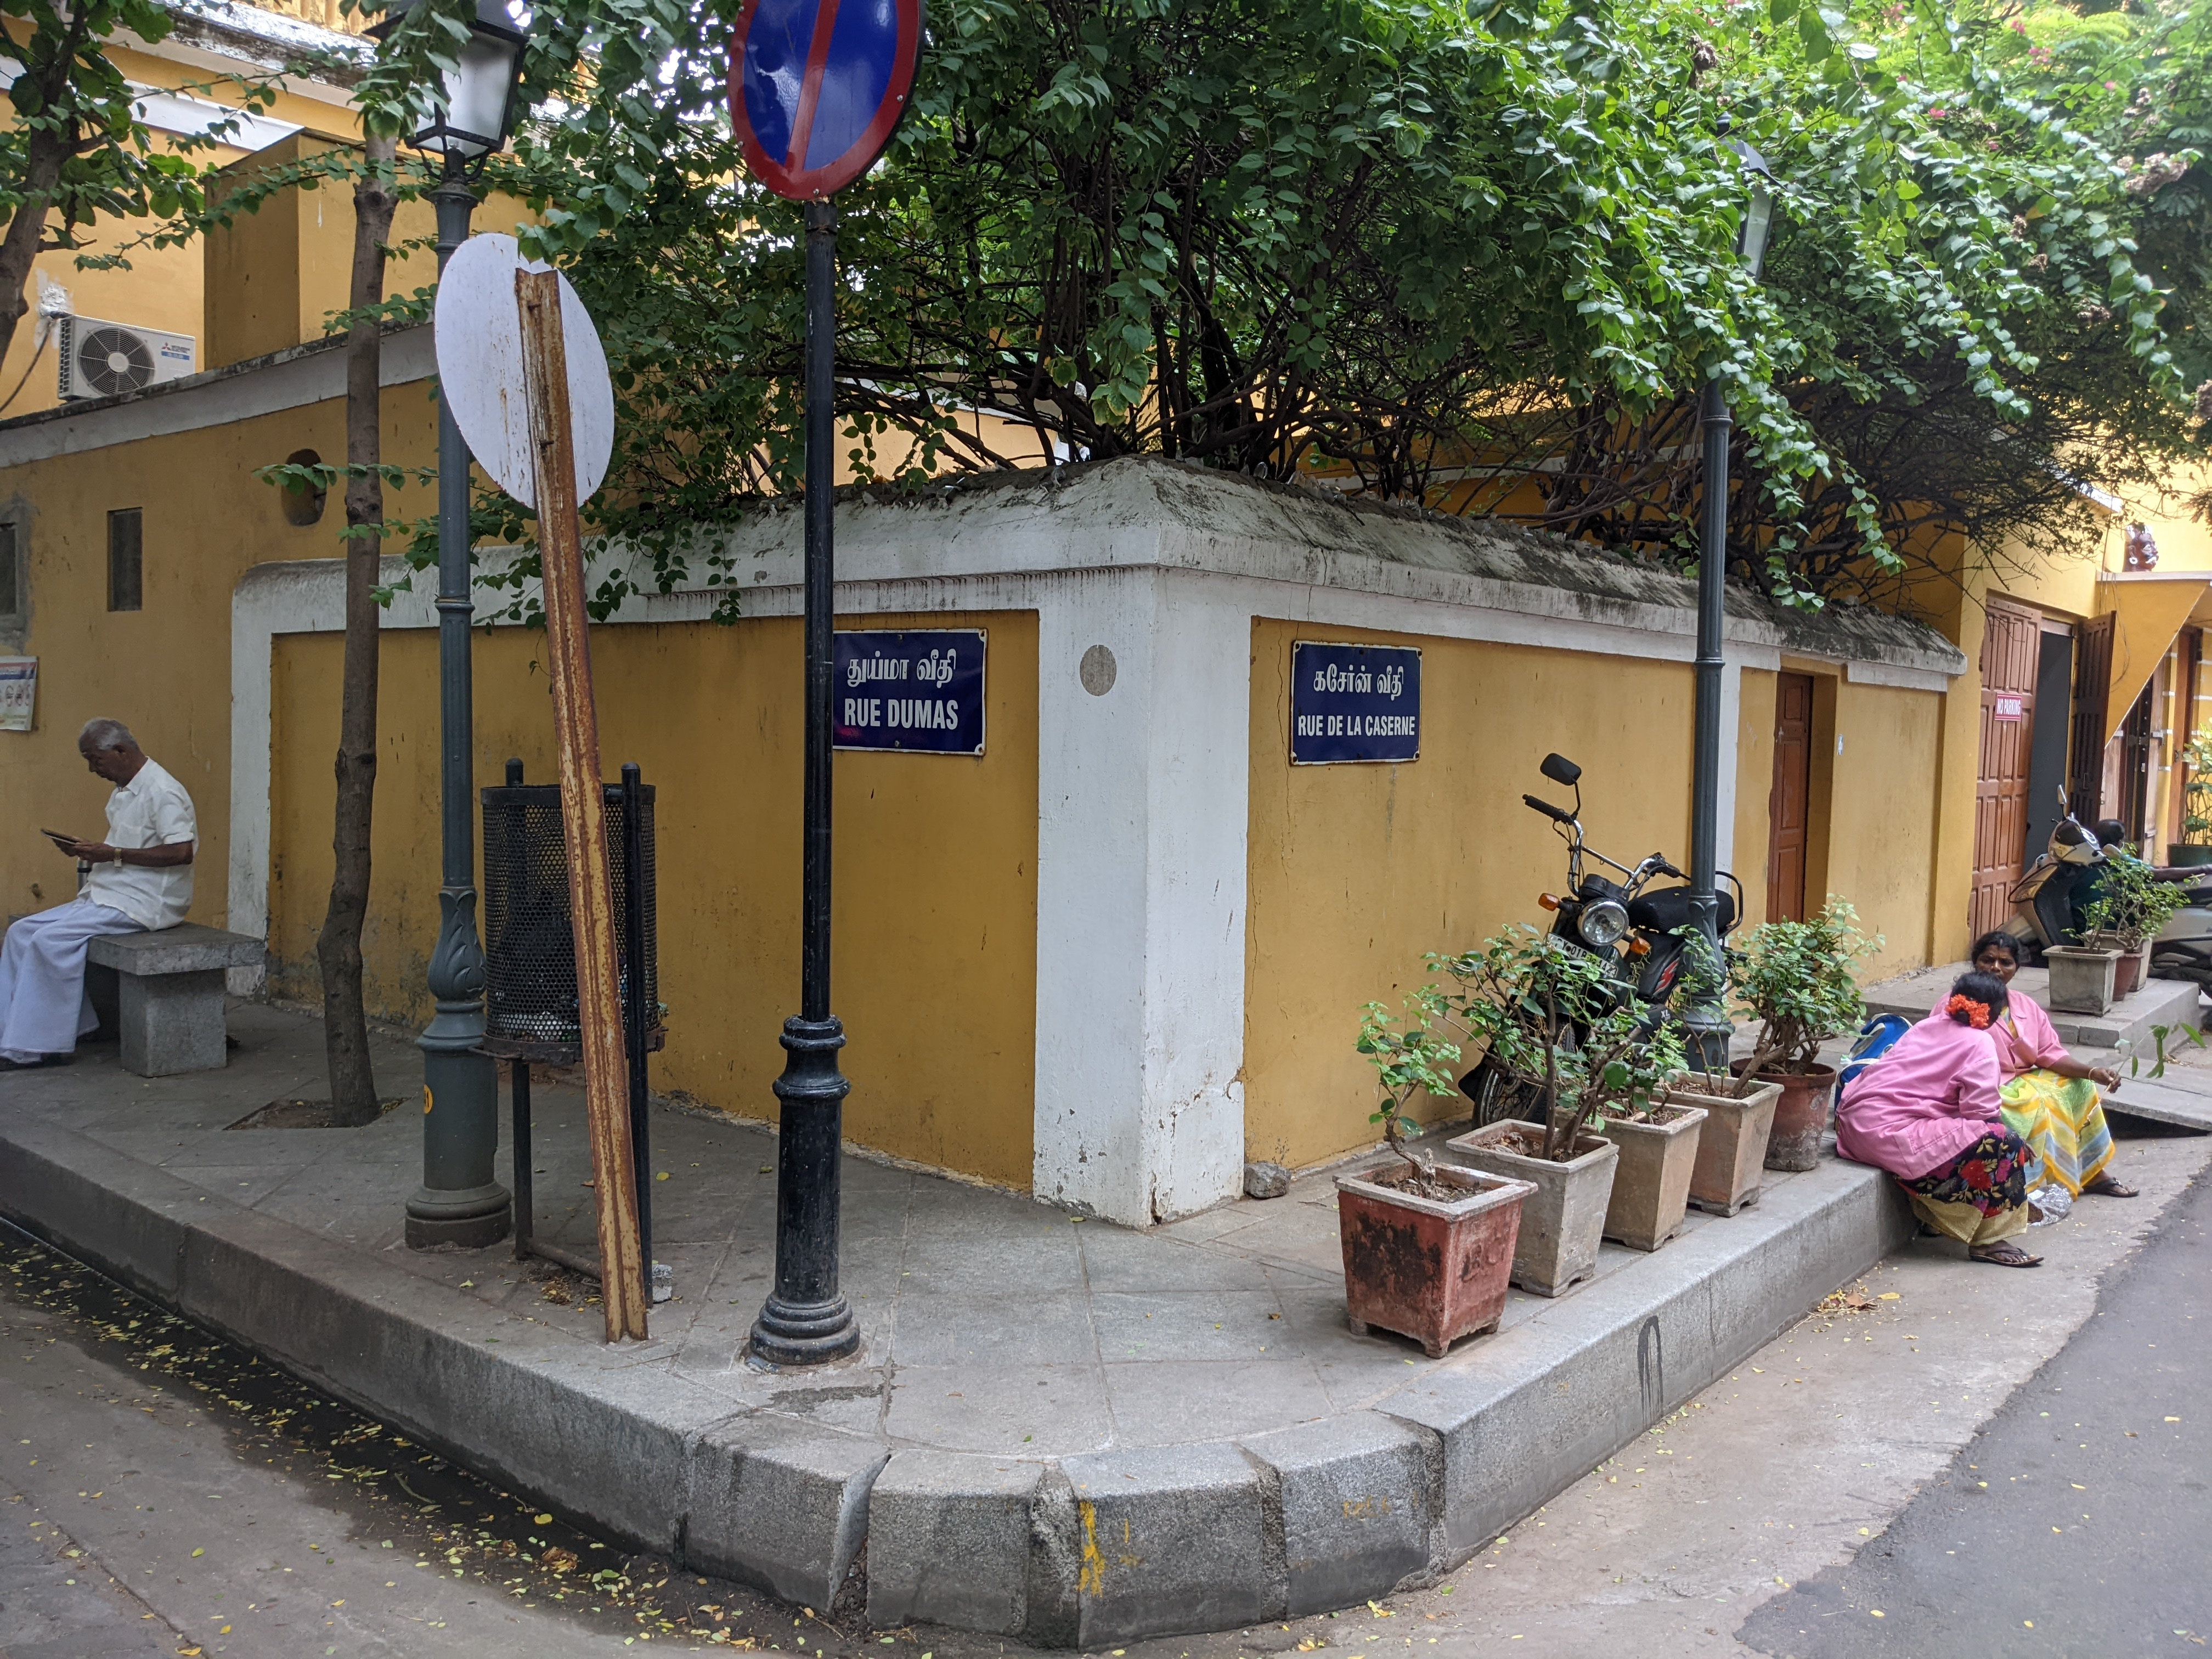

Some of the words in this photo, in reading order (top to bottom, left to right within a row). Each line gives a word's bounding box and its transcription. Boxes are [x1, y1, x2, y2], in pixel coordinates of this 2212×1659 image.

[842, 648, 913, 691] துய்மா
[912, 644, 958, 690] வீதி
[1308, 659, 1376, 697] கசோ்ன்
[1372, 663, 1407, 706] வீதி
[842, 695, 882, 731] RUE
[885, 695, 962, 736] DUMAS
[1296, 711, 1327, 739] RUE
[1324, 712, 1346, 738] DE
[1344, 712, 1364, 740] LA
[1361, 710, 1418, 738] CASERNE